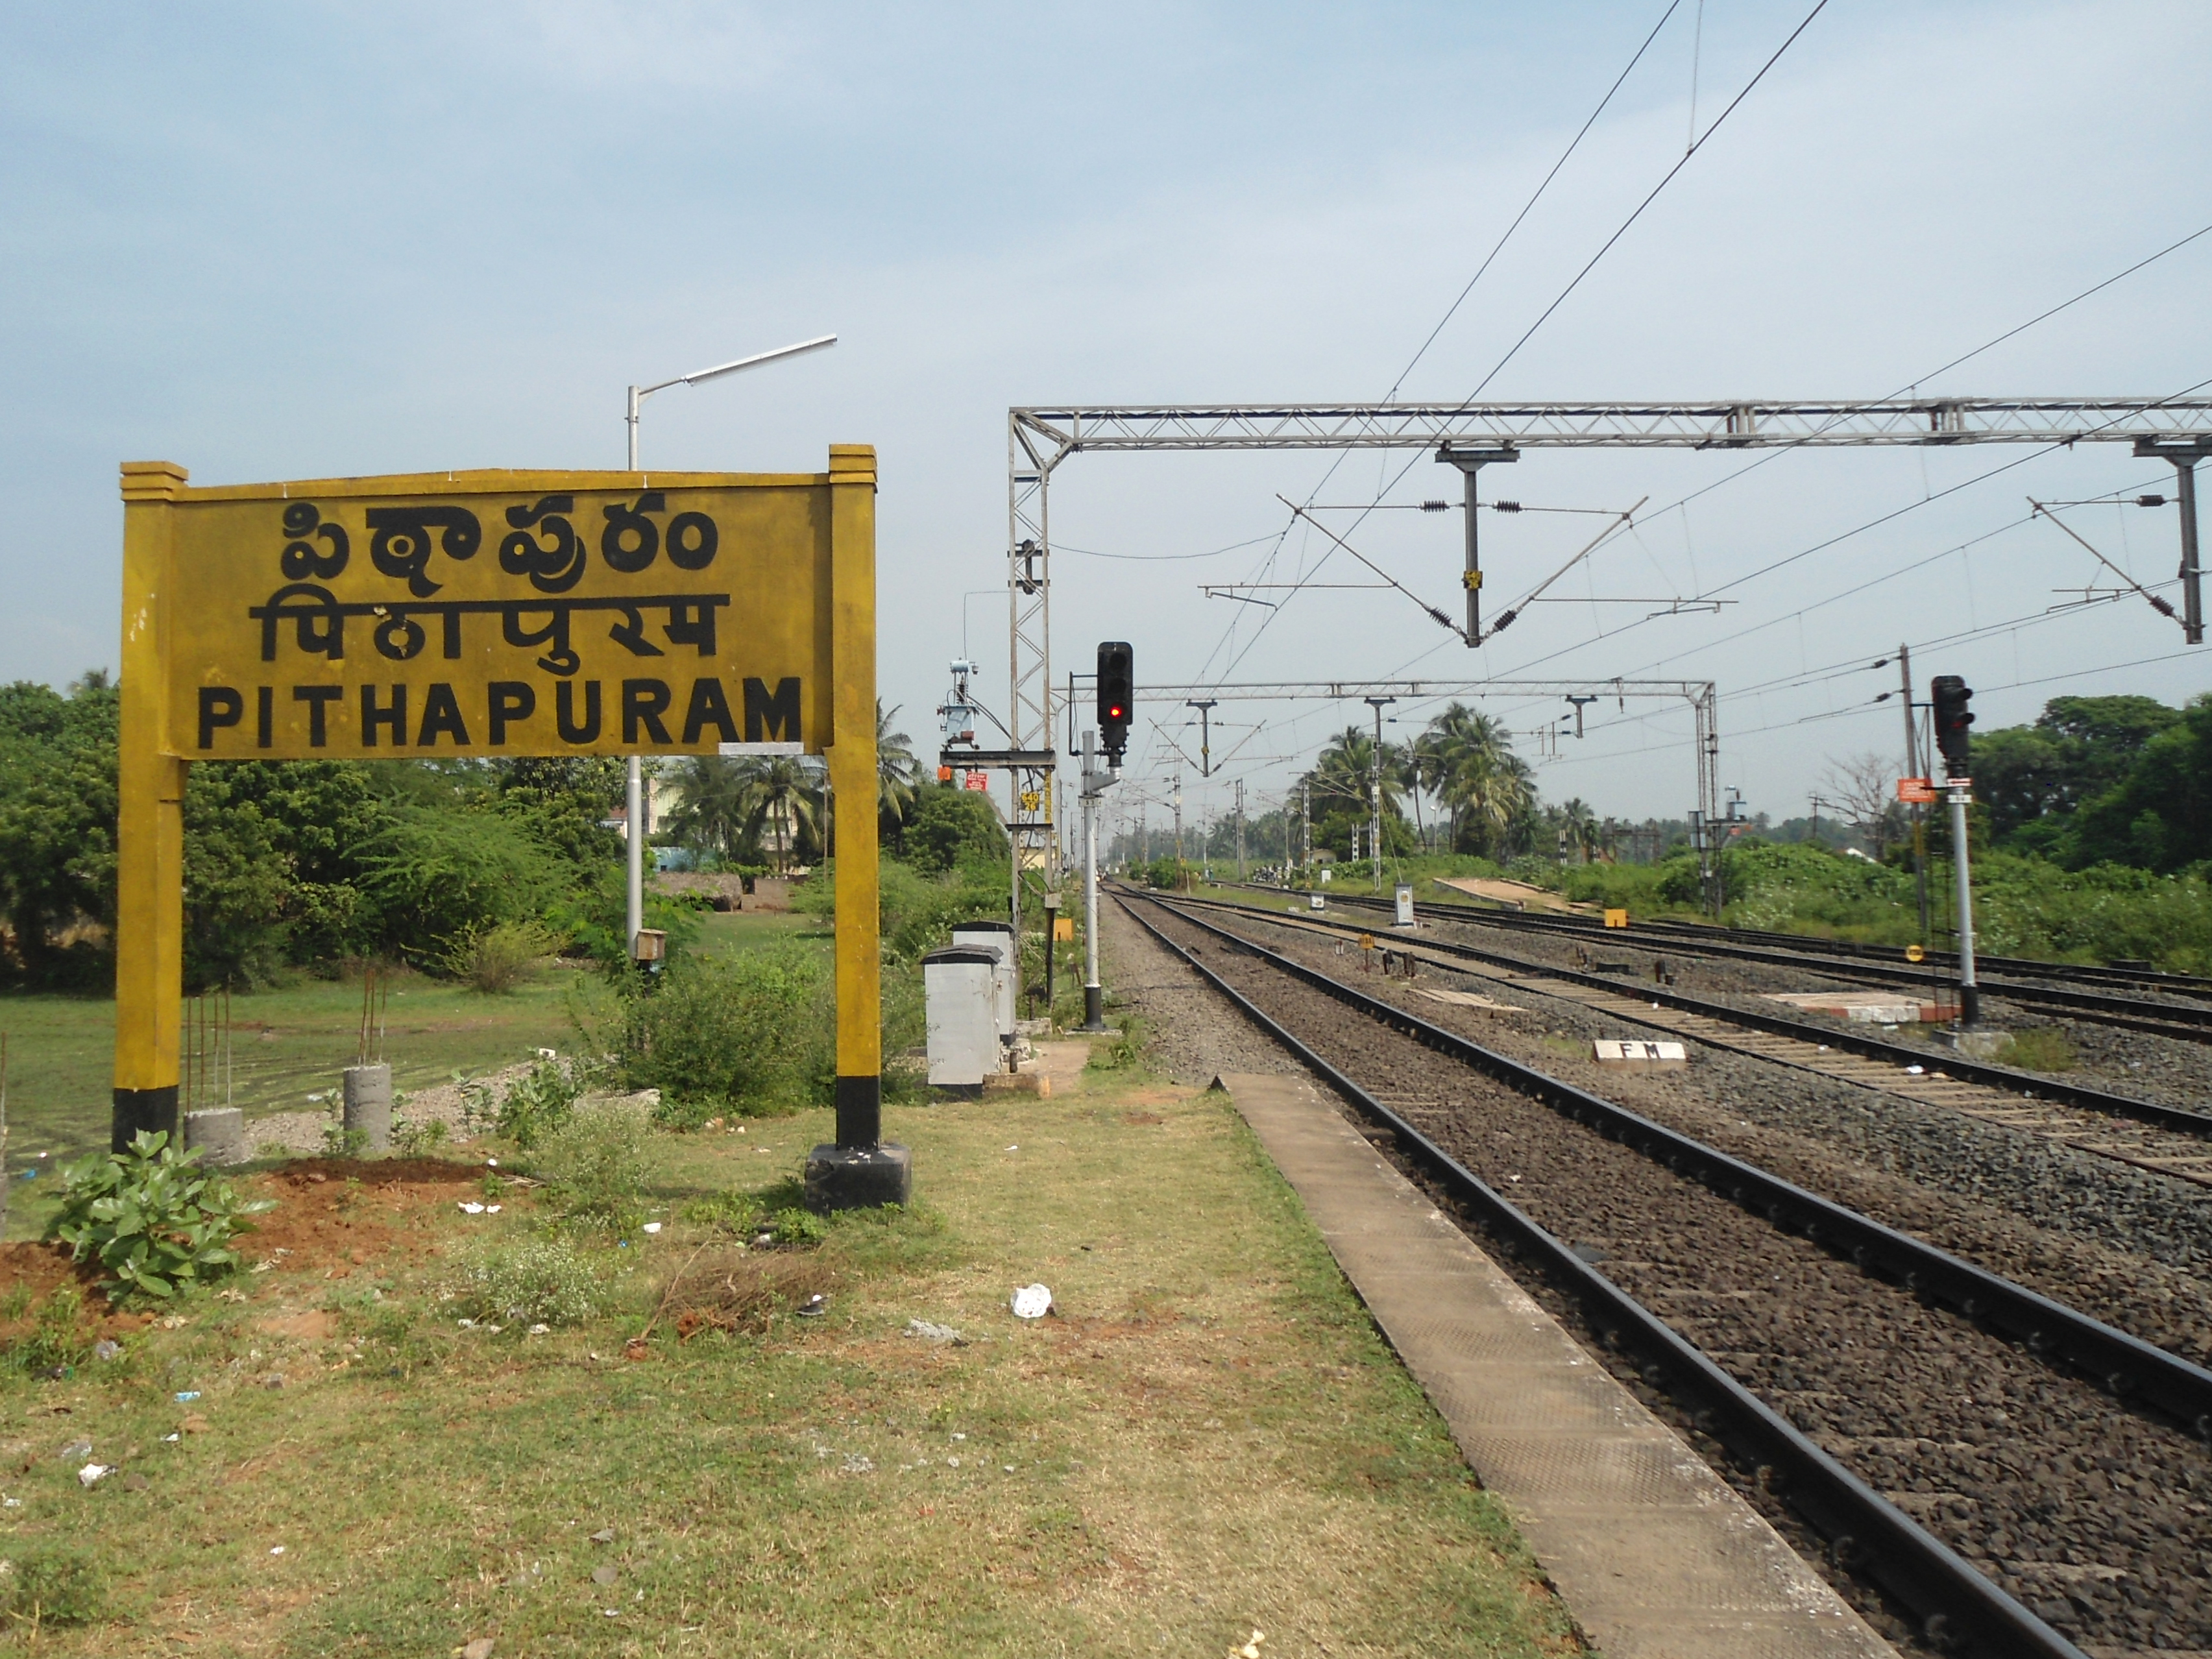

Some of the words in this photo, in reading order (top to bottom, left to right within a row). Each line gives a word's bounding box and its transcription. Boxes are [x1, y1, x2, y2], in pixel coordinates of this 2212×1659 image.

[272, 489, 721, 601] పిఠాపురం
[246, 578, 734, 679] पिठापुरम
[195, 673, 805, 751] PITHAPURAM